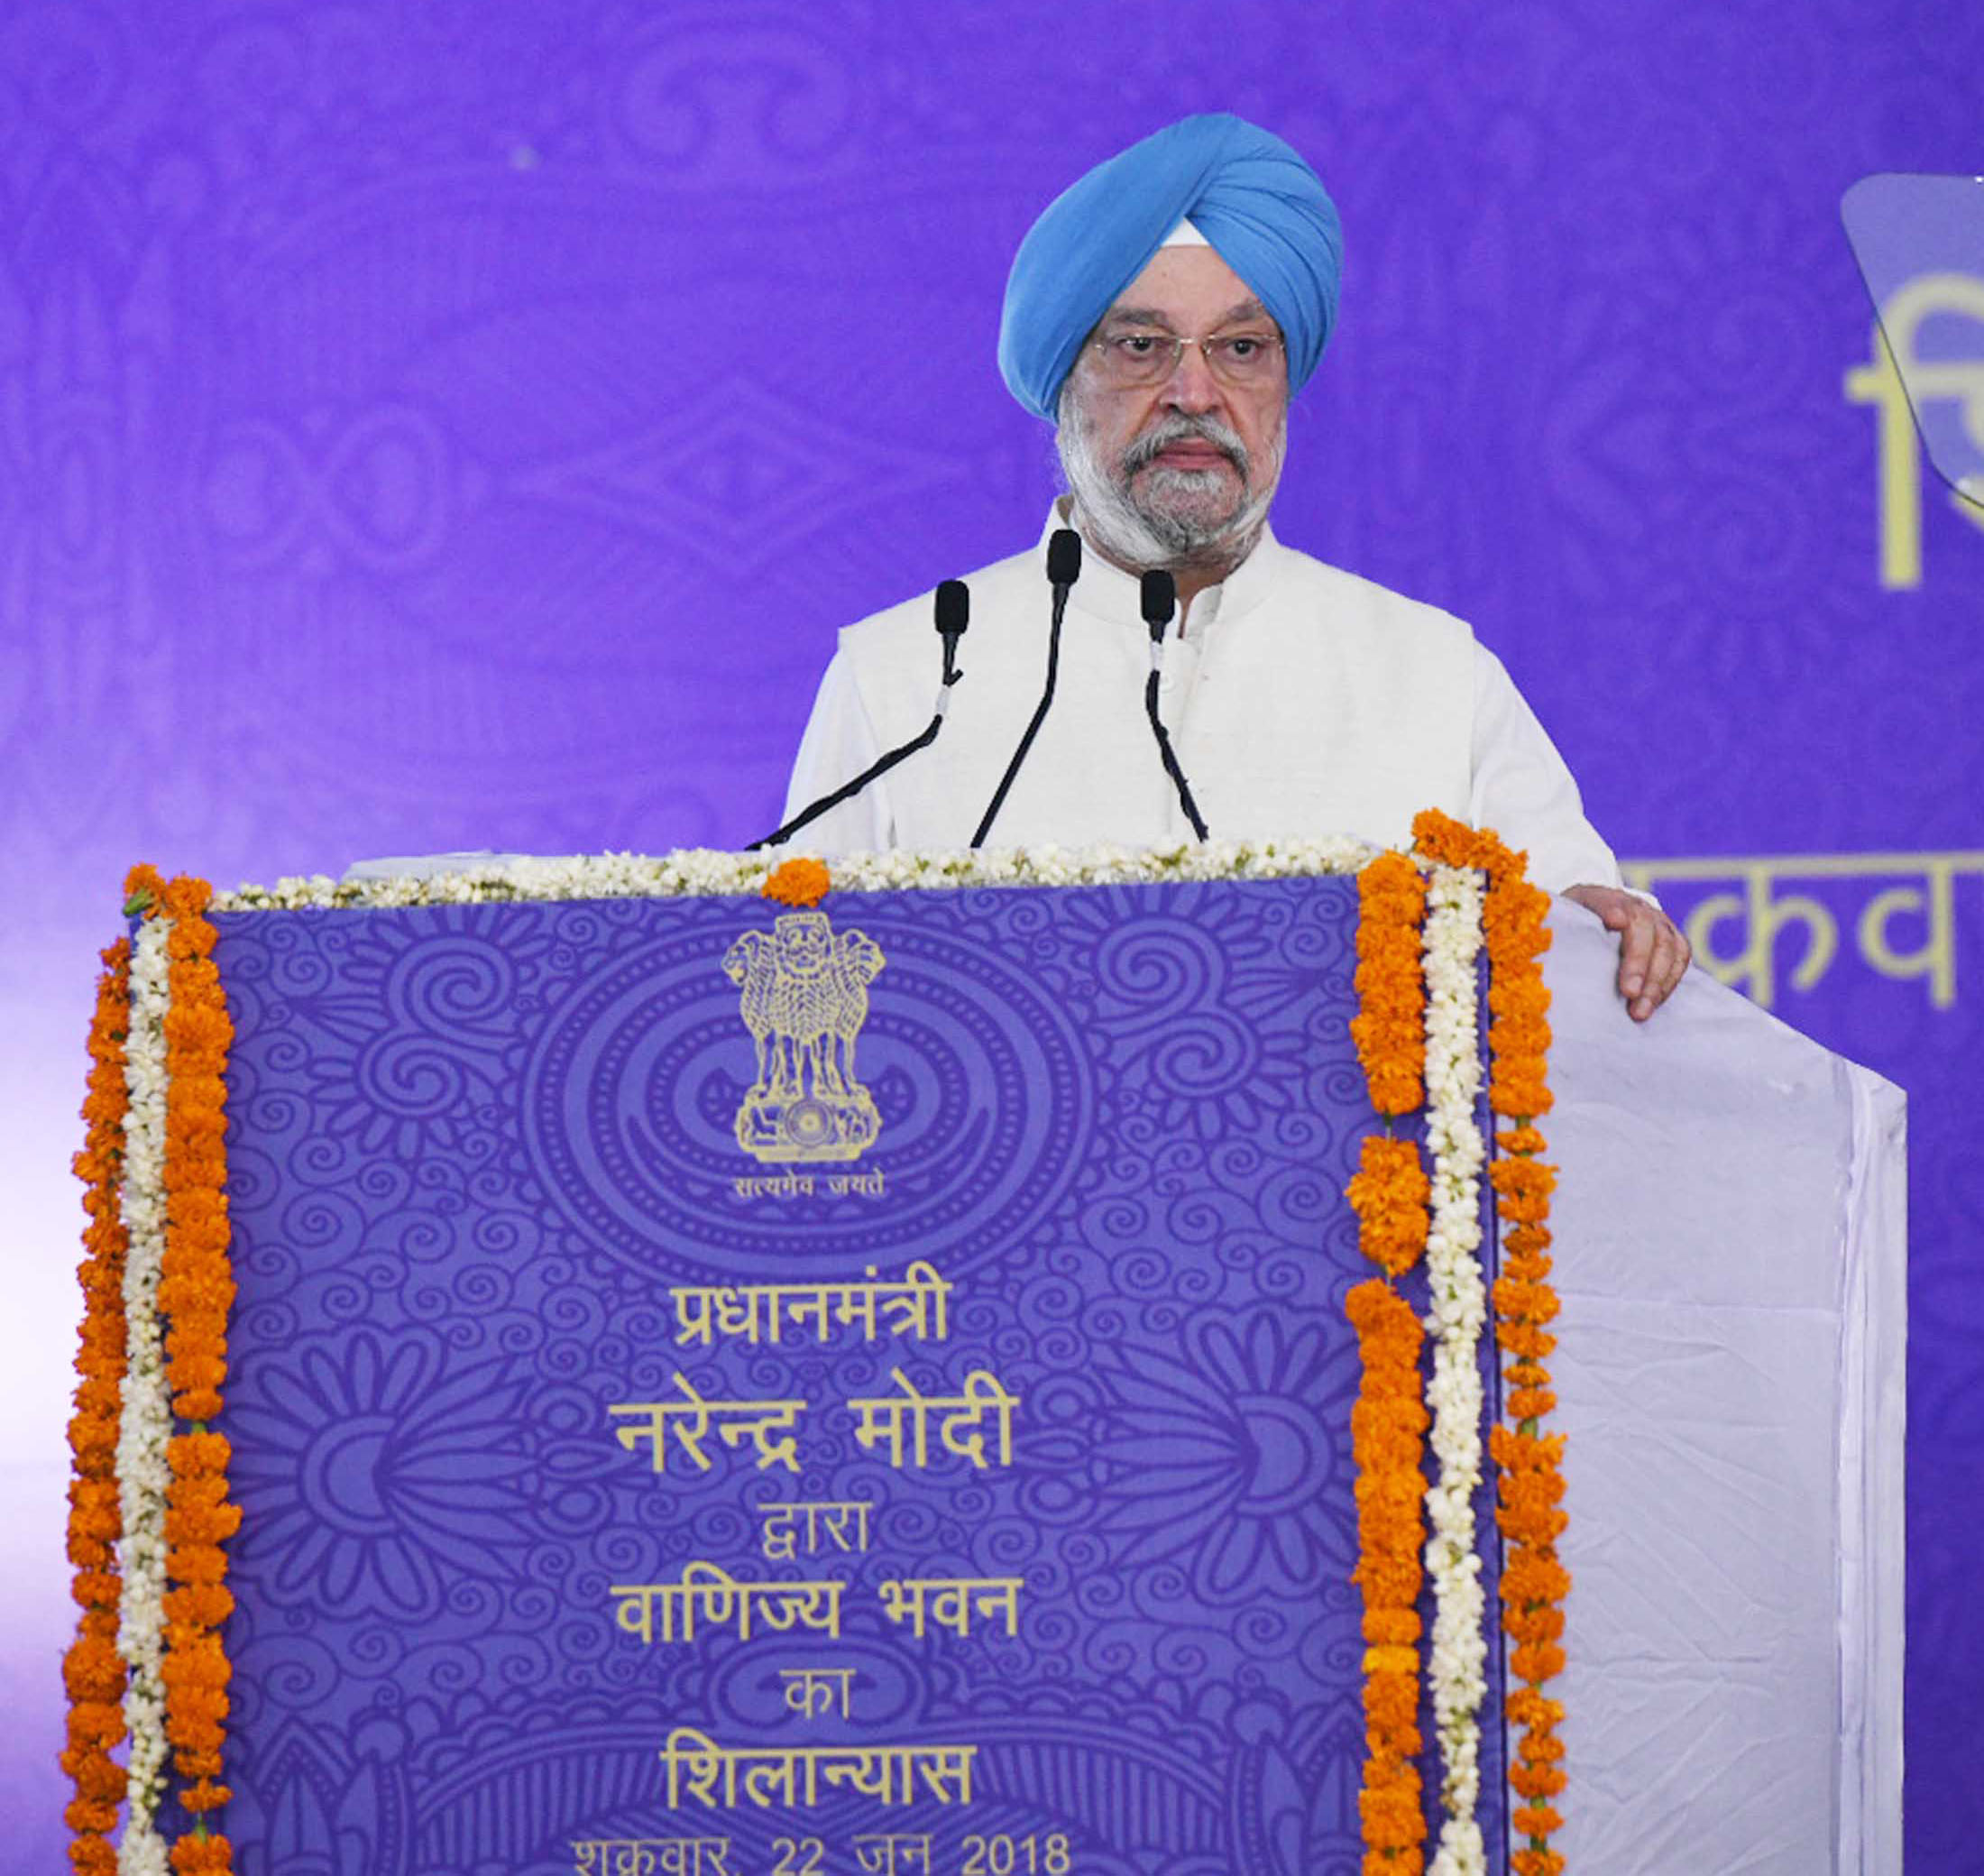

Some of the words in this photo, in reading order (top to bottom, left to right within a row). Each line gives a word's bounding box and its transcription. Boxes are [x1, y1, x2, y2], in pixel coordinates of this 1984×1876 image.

[720, 1160, 821, 1210] सत्यमेव
[824, 1156, 898, 1203] जयते
[666, 1250, 956, 1356] प्रधानमंत्री
[606, 1356, 810, 1476] नरेन्द्र
[840, 1360, 1024, 1477] मोदी
[754, 1497, 878, 1573] द्वारा
[606, 1548, 857, 1660] वाणिज्य
[877, 1569, 1028, 1647] भवन
[770, 1658, 860, 1726] का
[651, 1708, 979, 1813] शिलान्यास
[568, 1831, 739, 1874] शुक्रवार
[763, 1825, 833, 1872] 22
[850, 1825, 940, 1874] जन
[954, 1827, 1077, 1872] 2018